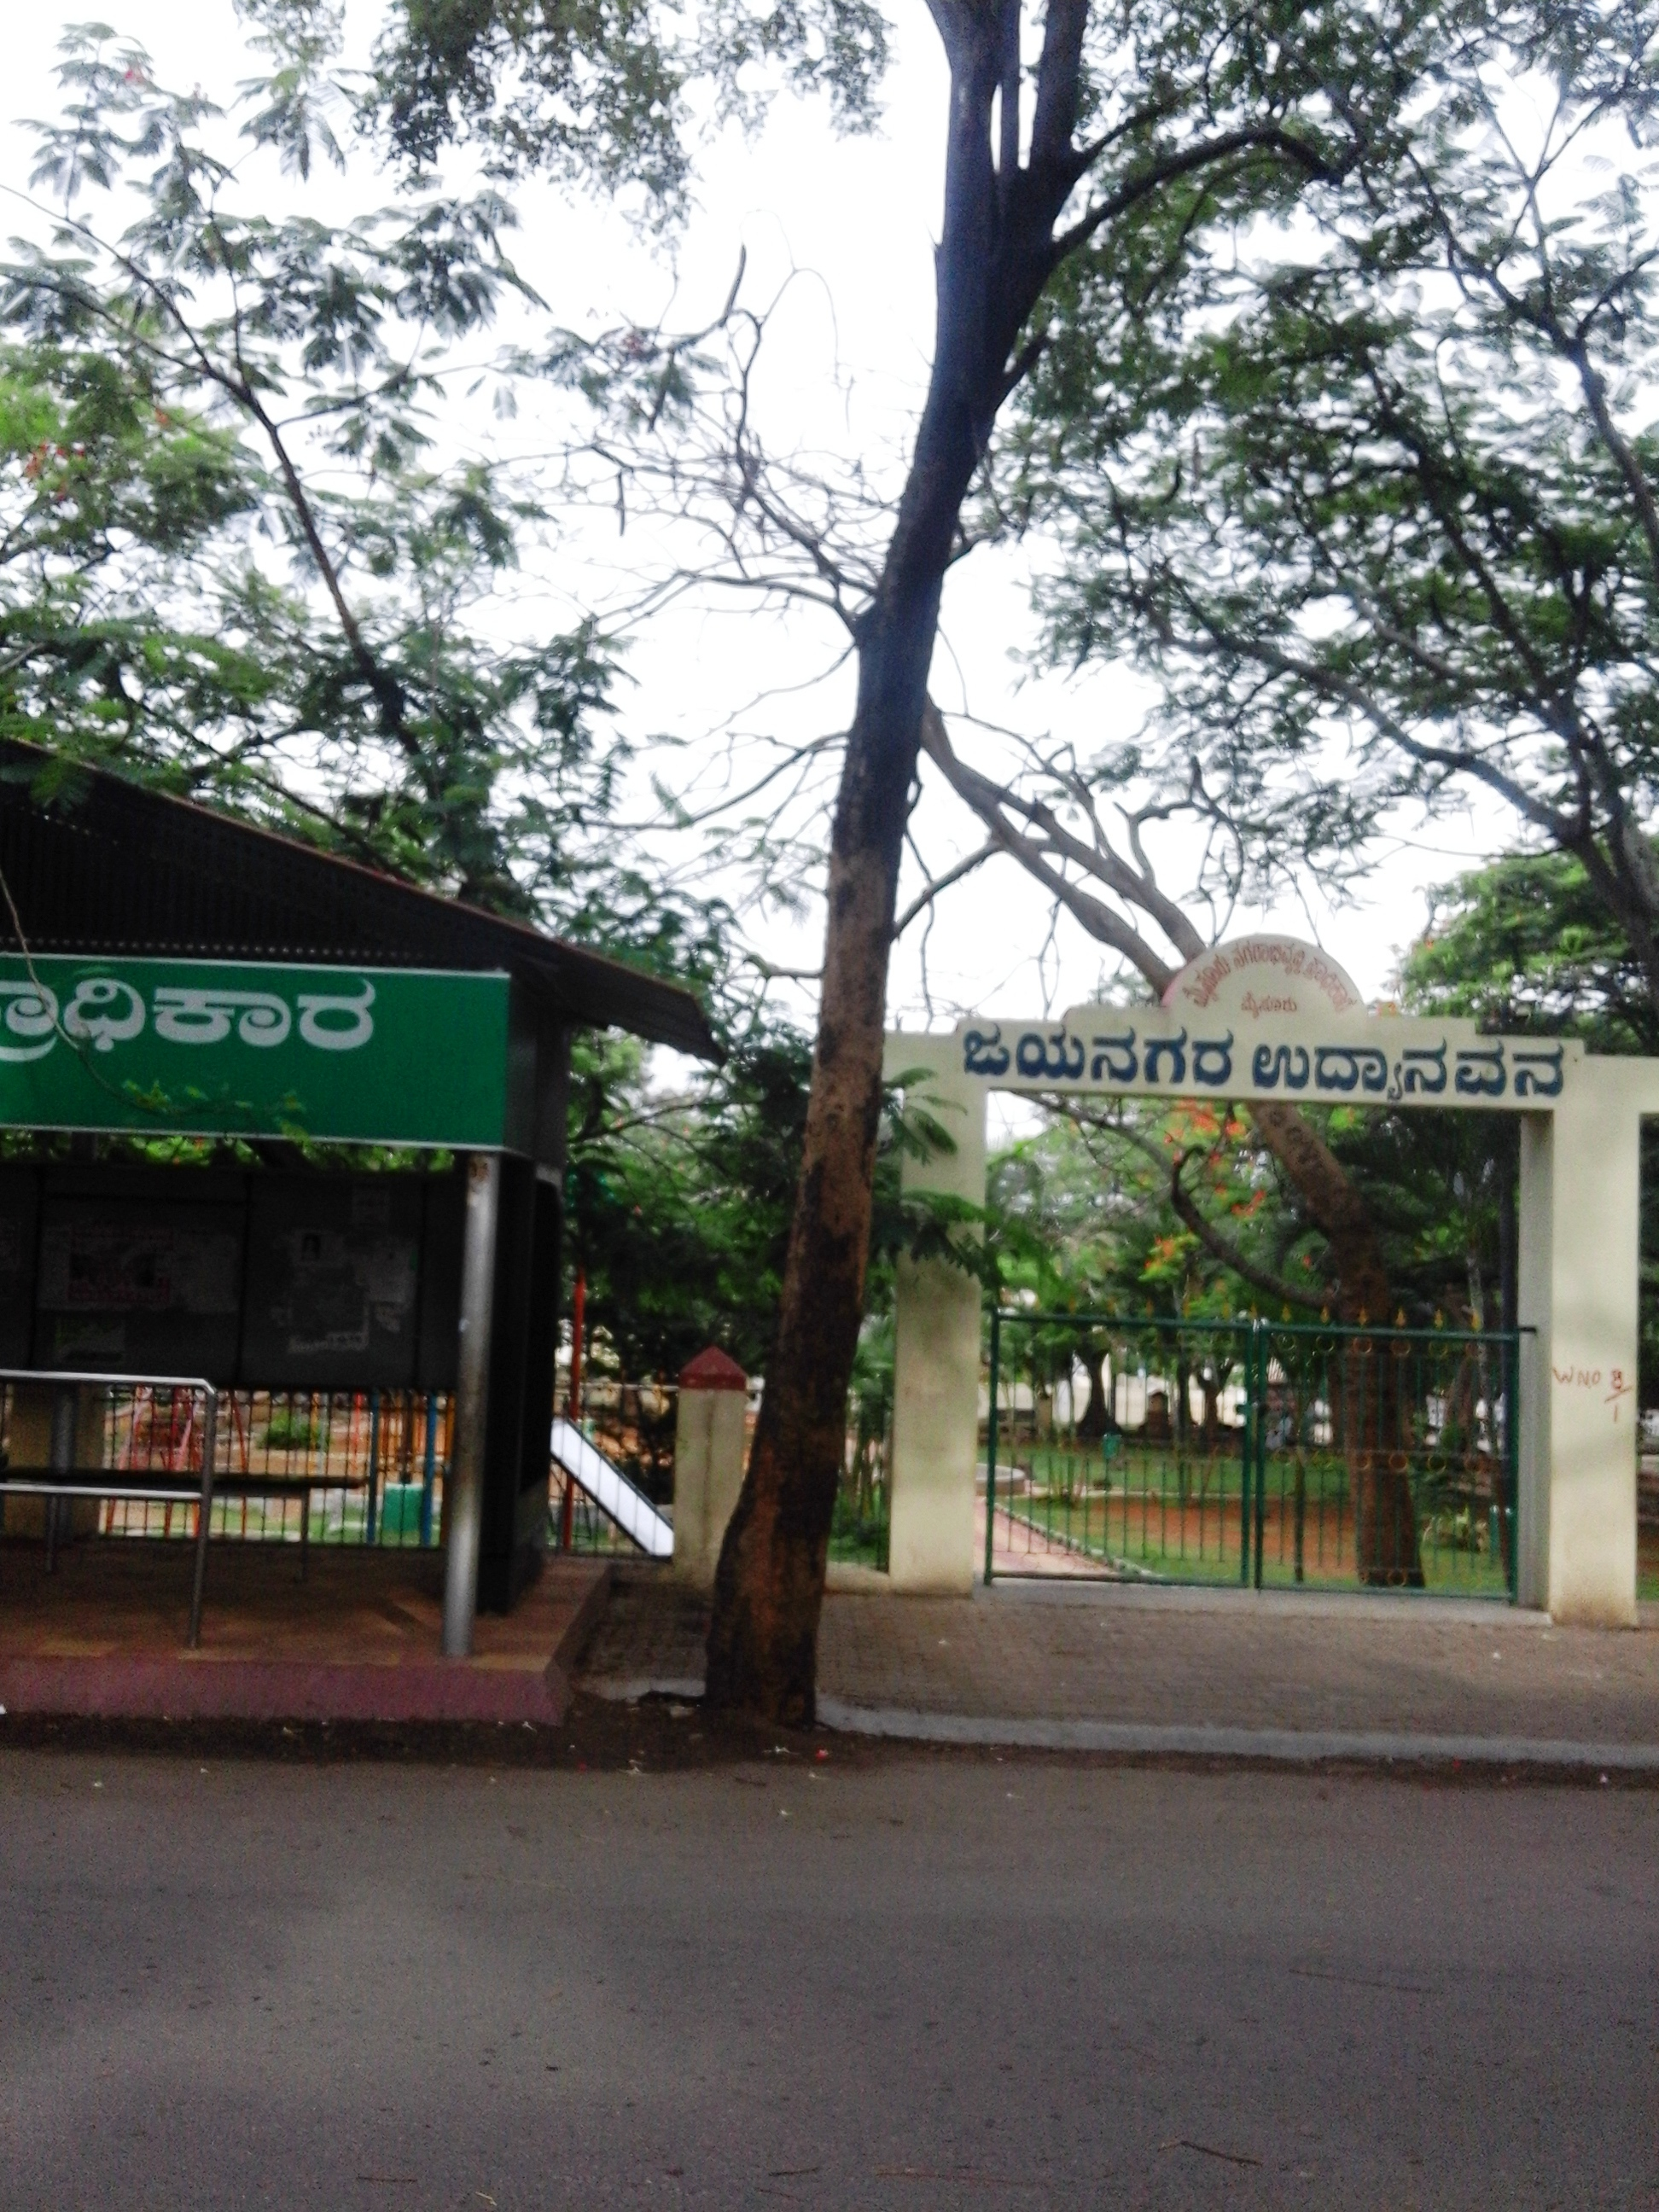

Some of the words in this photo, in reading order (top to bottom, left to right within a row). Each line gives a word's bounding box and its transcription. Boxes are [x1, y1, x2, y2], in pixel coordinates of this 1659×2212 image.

[1224, 929, 1314, 982] ನಗರಾಜವ್ವಲ್ಲಿ
[3, 972, 386, 1069] ಾಧಿಕಾರ
[957, 1014, 1243, 1091] ಜಯನಗರ
[1231, 976, 1303, 1022] ಮ್ಯಣರು
[1246, 1029, 1571, 1109] ಉದ್ಯಾನವನ